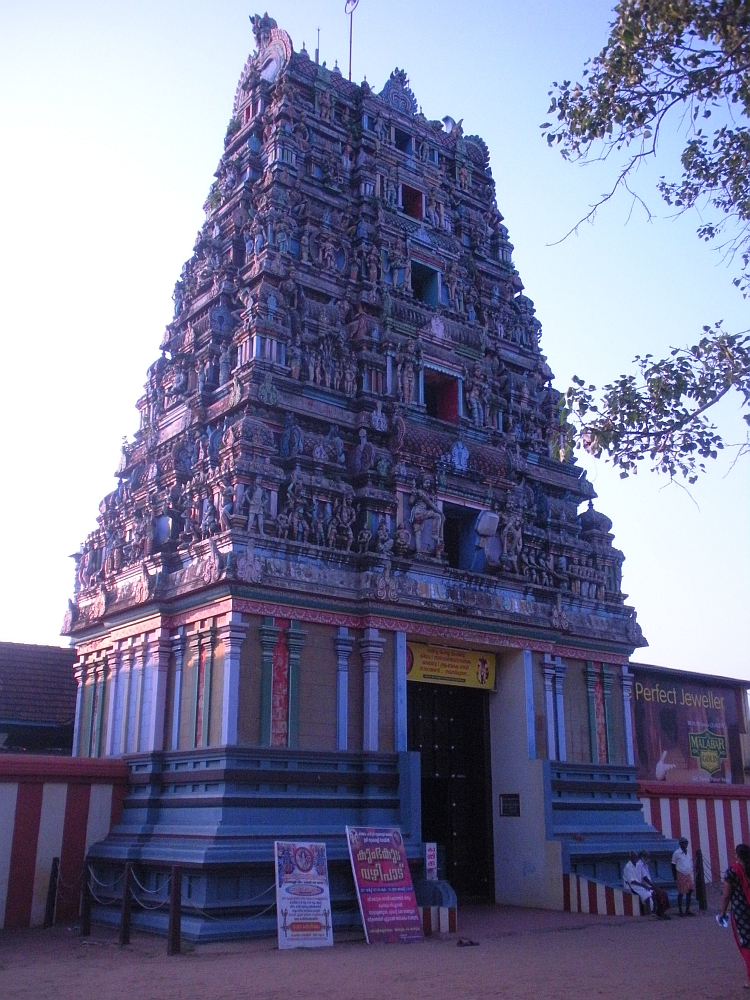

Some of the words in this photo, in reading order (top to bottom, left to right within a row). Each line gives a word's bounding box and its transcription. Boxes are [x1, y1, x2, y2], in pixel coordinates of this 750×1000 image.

[632, 677, 683, 709] Perfect
[676, 682, 729, 713] Jeweller
[685, 731, 729, 755] MALABAR
[358, 859, 409, 885] വഴിപാട്